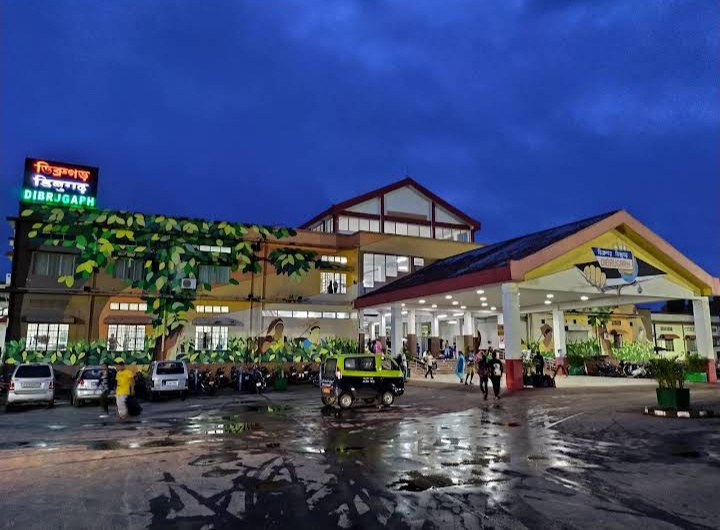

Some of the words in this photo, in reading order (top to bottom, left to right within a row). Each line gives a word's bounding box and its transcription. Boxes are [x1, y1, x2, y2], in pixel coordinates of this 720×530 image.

[27, 169, 92, 200] डिबुगढ़
[26, 153, 94, 185] ডিব্ৰুগড়
[19, 183, 104, 210] DIBRUGARH